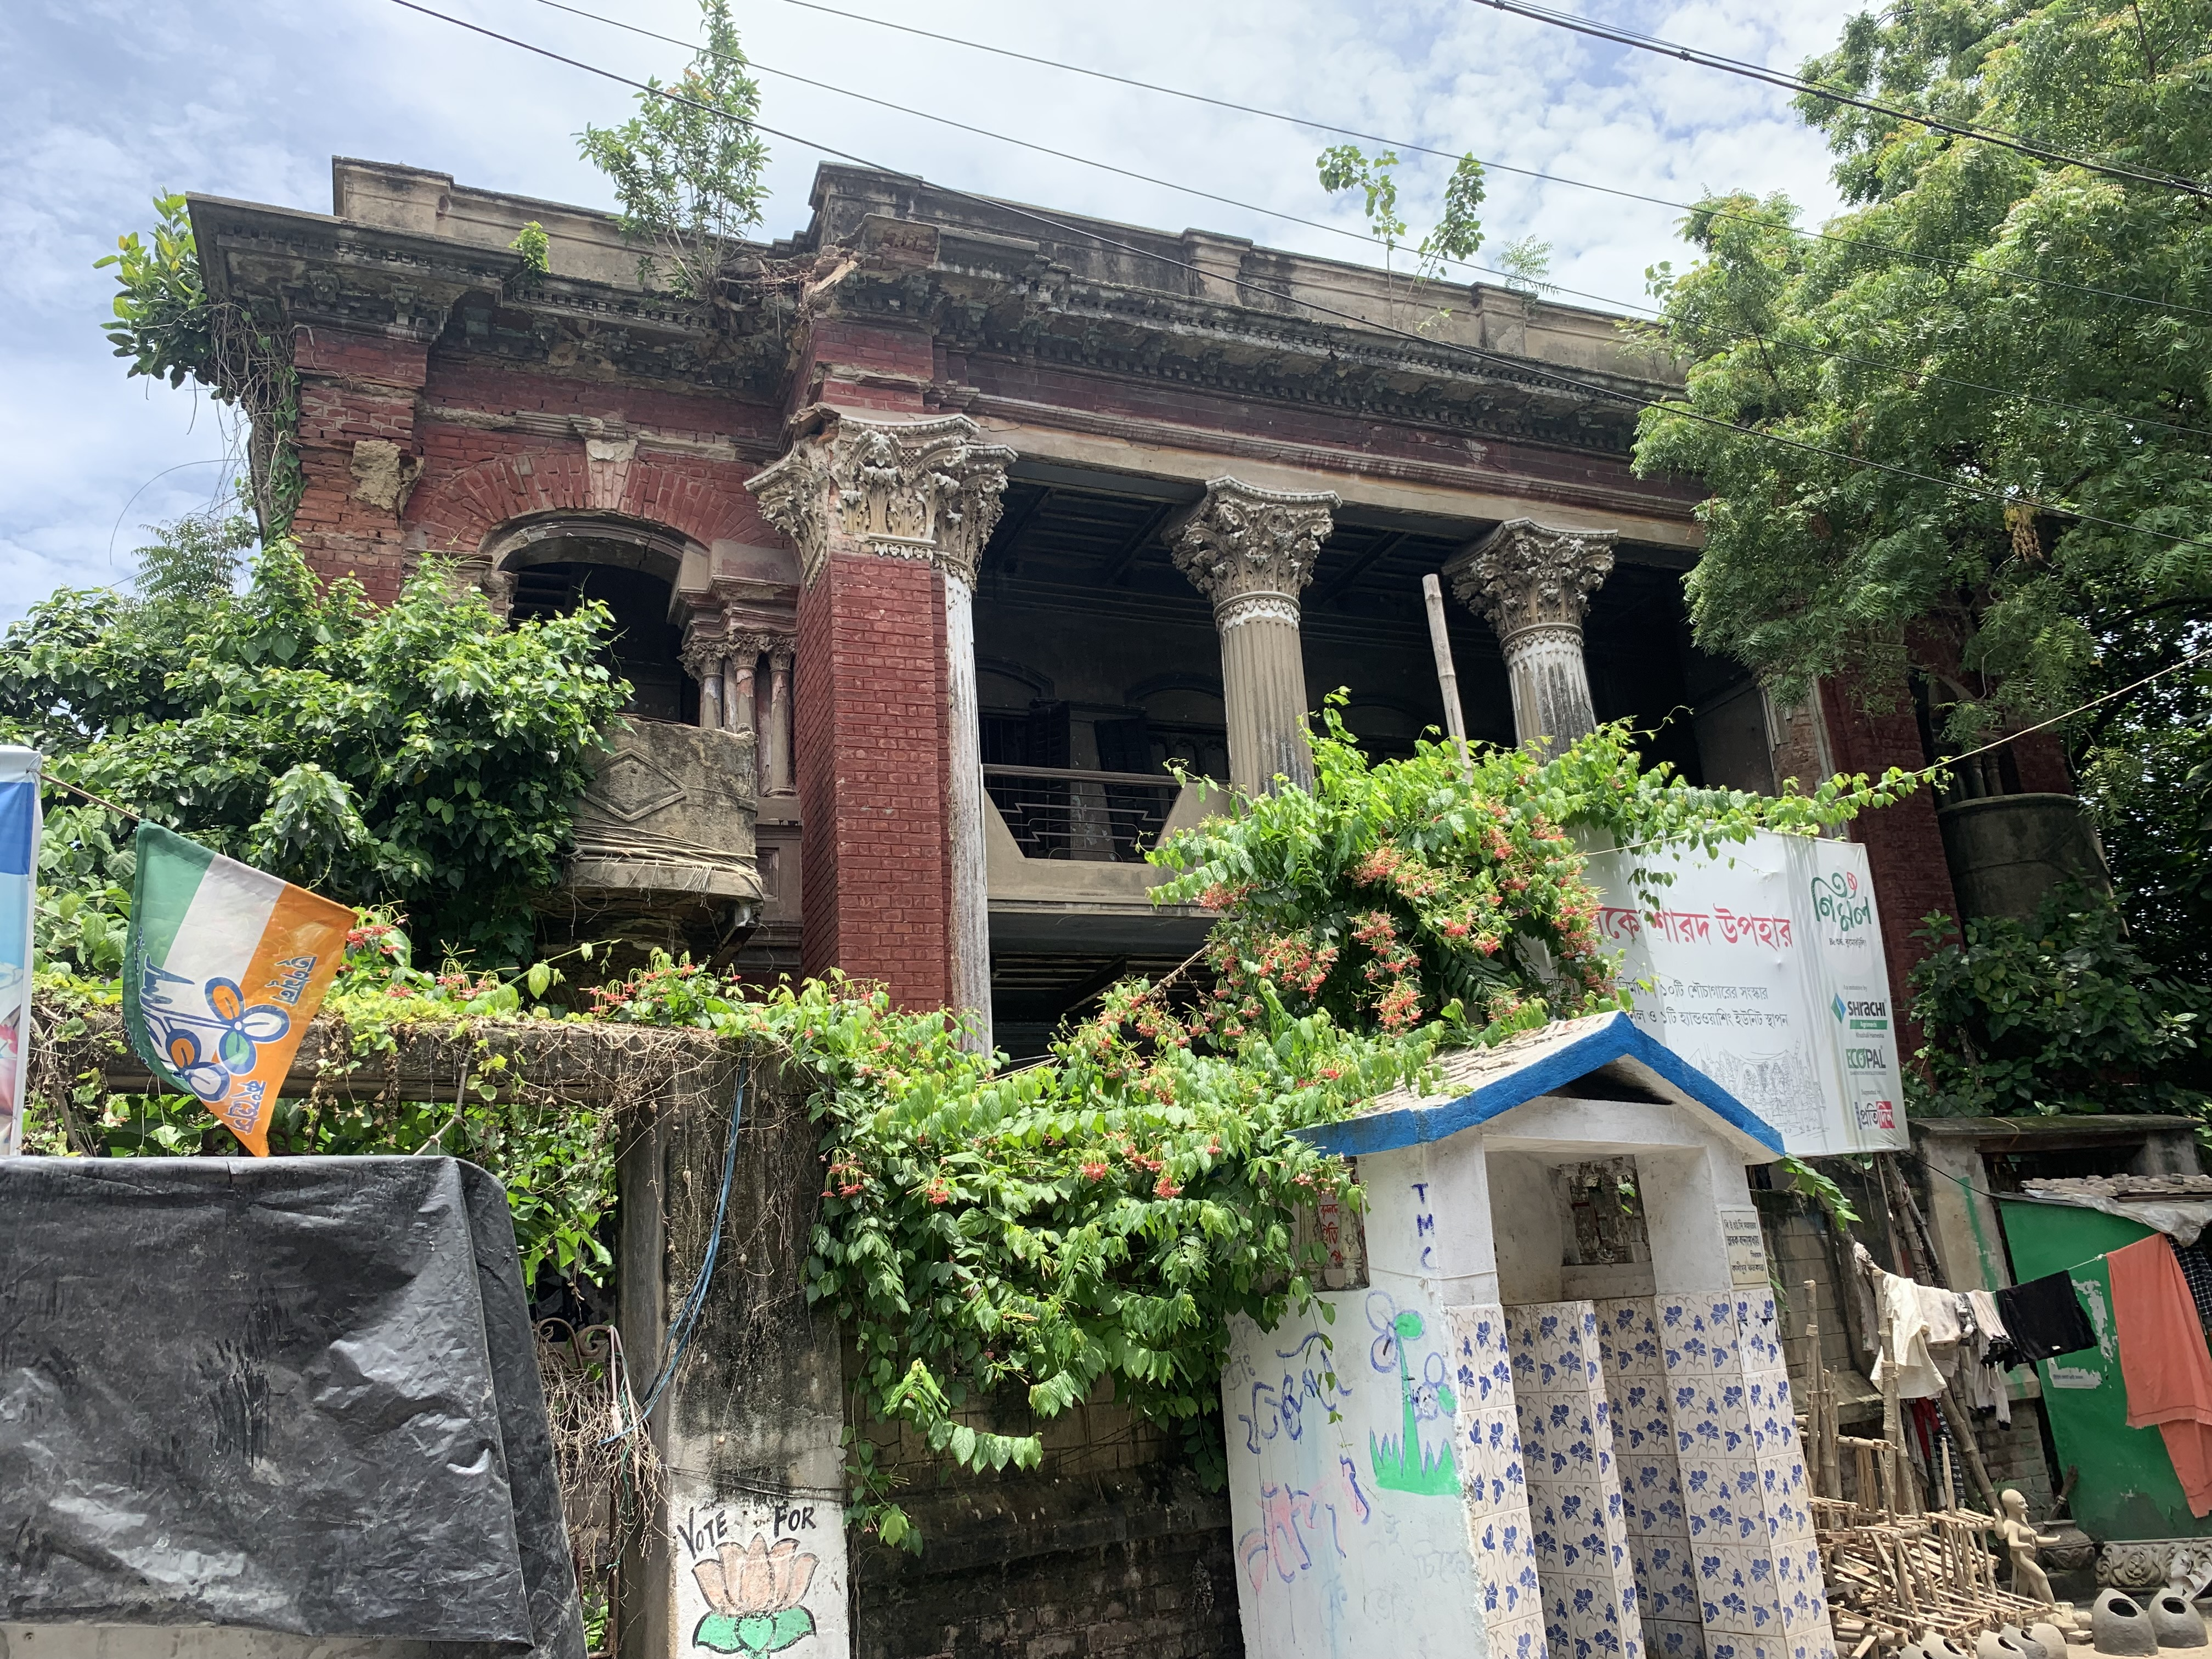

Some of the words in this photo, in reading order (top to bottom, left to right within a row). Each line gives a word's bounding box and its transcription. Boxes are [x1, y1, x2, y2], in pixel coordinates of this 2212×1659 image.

[1640, 902, 1713, 946] শারদ
[1708, 895, 1798, 952] উপহার
[263, 955, 320, 1010] তৃণমূল
[1658, 974, 1688, 1000] ১০টি
[1685, 978, 1739, 1001] শৌচাগারের
[1734, 981, 1769, 1003] সংস্কার
[1646, 1008, 1661, 1024] ও
[1656, 1002, 1680, 1030] ১টি
[1678, 1005, 1736, 1029] হ্যান্ডওয়াশিং
[1728, 1005, 1767, 1029] ইউনিট
[1762, 1012, 1791, 1032] স্থাপন
[1843, 997, 1887, 1020] SHraCHI
[1843, 1044, 1894, 1071] ECOPAL
[220, 1079, 272, 1136] কংগ্রেস
[1854, 1096, 1896, 1129] প্রতিদিন
[770, 1497, 819, 1539] FOR
[674, 1499, 733, 1566] VOTE